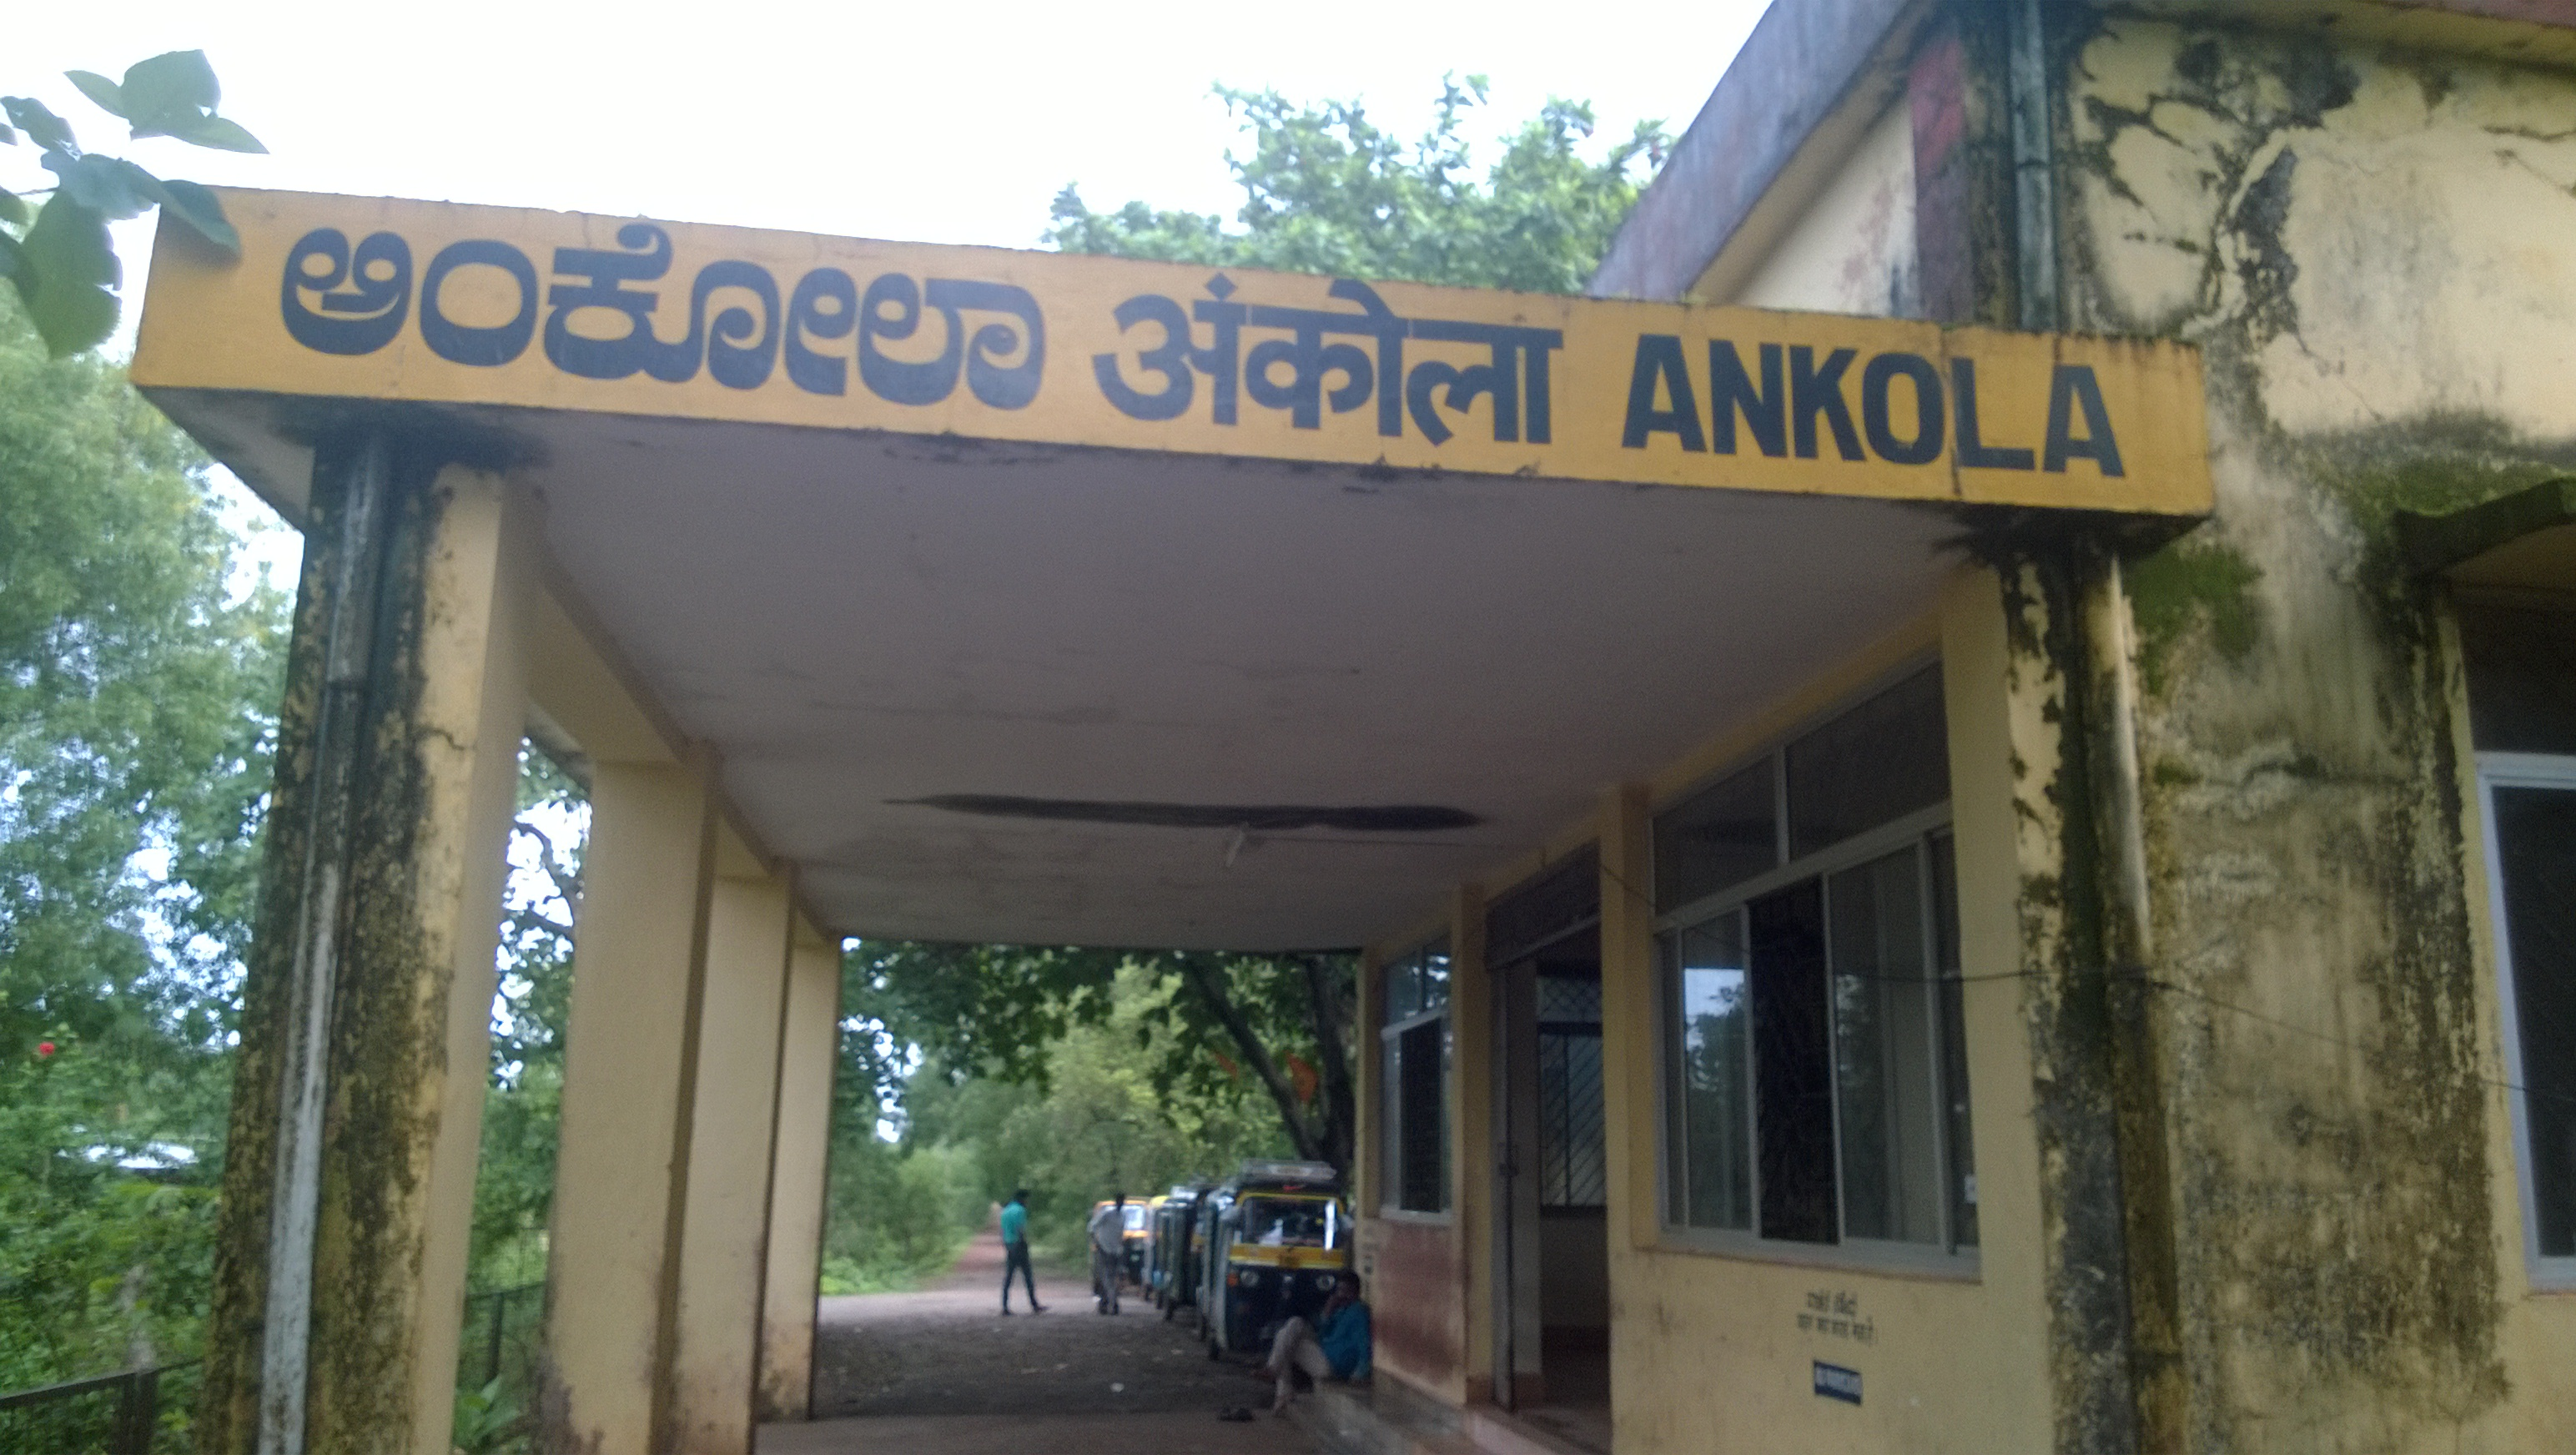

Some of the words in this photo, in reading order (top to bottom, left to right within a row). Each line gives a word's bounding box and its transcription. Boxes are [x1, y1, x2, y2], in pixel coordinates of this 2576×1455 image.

[262, 201, 1064, 420] ಅಂಕೋಲಾ
[1078, 254, 1570, 455] अंकोला
[1610, 315, 2136, 481] ANKOLA